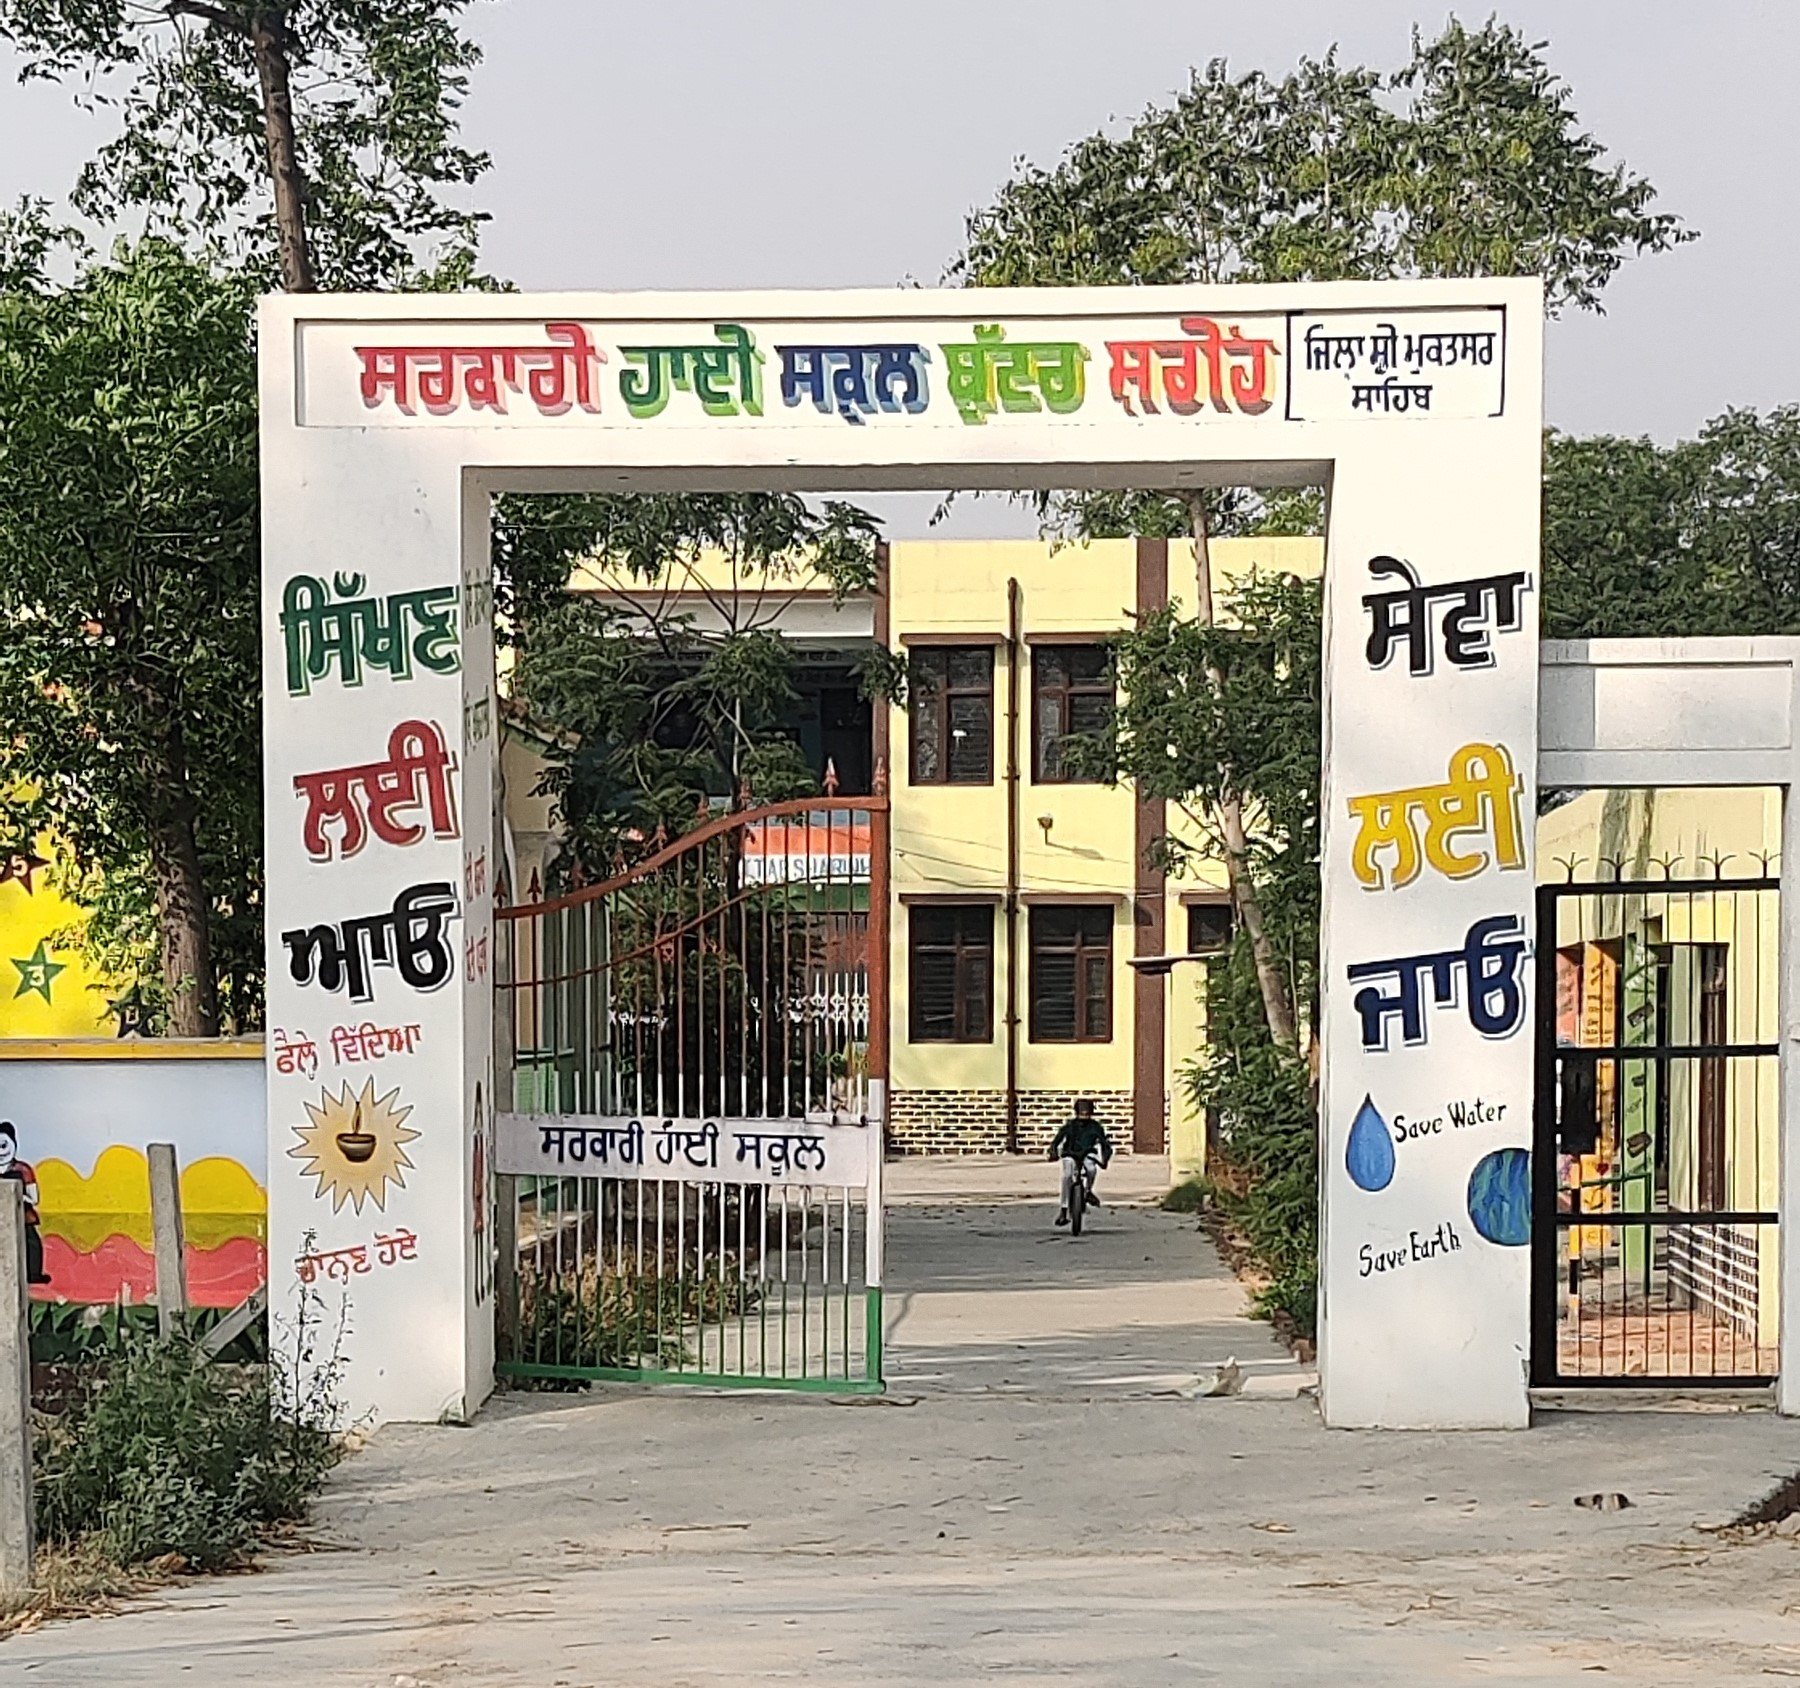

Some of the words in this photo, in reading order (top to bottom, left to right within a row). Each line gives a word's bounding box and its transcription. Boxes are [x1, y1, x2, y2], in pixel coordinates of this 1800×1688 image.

[338, 314, 612, 432] ਸਰਕਾਰੀ
[600, 316, 772, 428] ਹਾਈ
[766, 324, 936, 434] ਸਕੂਲ
[932, 320, 1100, 435] ਬੁੱਟਰ
[1096, 306, 1284, 420] ਸਰੀਂਹ
[1296, 318, 1366, 380] ਜਿਲ
[1368, 317, 1399, 376] ਸ੍ਰੀ
[1344, 371, 1443, 423] ਸਾਹਿਬ
[1399, 324, 1500, 379] ਮੁਕਤਸਰ
[265, 560, 462, 713] ਸਿੱਖਣ
[1338, 545, 1538, 694] ਸੇਵਾ
[281, 704, 465, 872] ਲਈ
[1338, 730, 1539, 906] ਲਈ
[272, 870, 464, 1013] ਆਓ
[1332, 908, 1538, 1076] ਜਾਓ
[265, 1017, 325, 1083] ਫੈਲੇ
[323, 1012, 427, 1069] ਵਿੱਦਿਆ
[529, 1108, 650, 1174] ਸਰਕਾਰੀ
[647, 1115, 727, 1175] ਹਾਂਈ
[725, 1122, 831, 1182] ਸਕੂਲ
[1388, 1104, 1449, 1149] Save
[1441, 1088, 1510, 1130] Water
[287, 1239, 376, 1290] ਚਾਨਣ
[366, 1217, 426, 1274] ਹੋਏ
[1348, 1233, 1411, 1283] Save
[1404, 1213, 1469, 1264] Earth